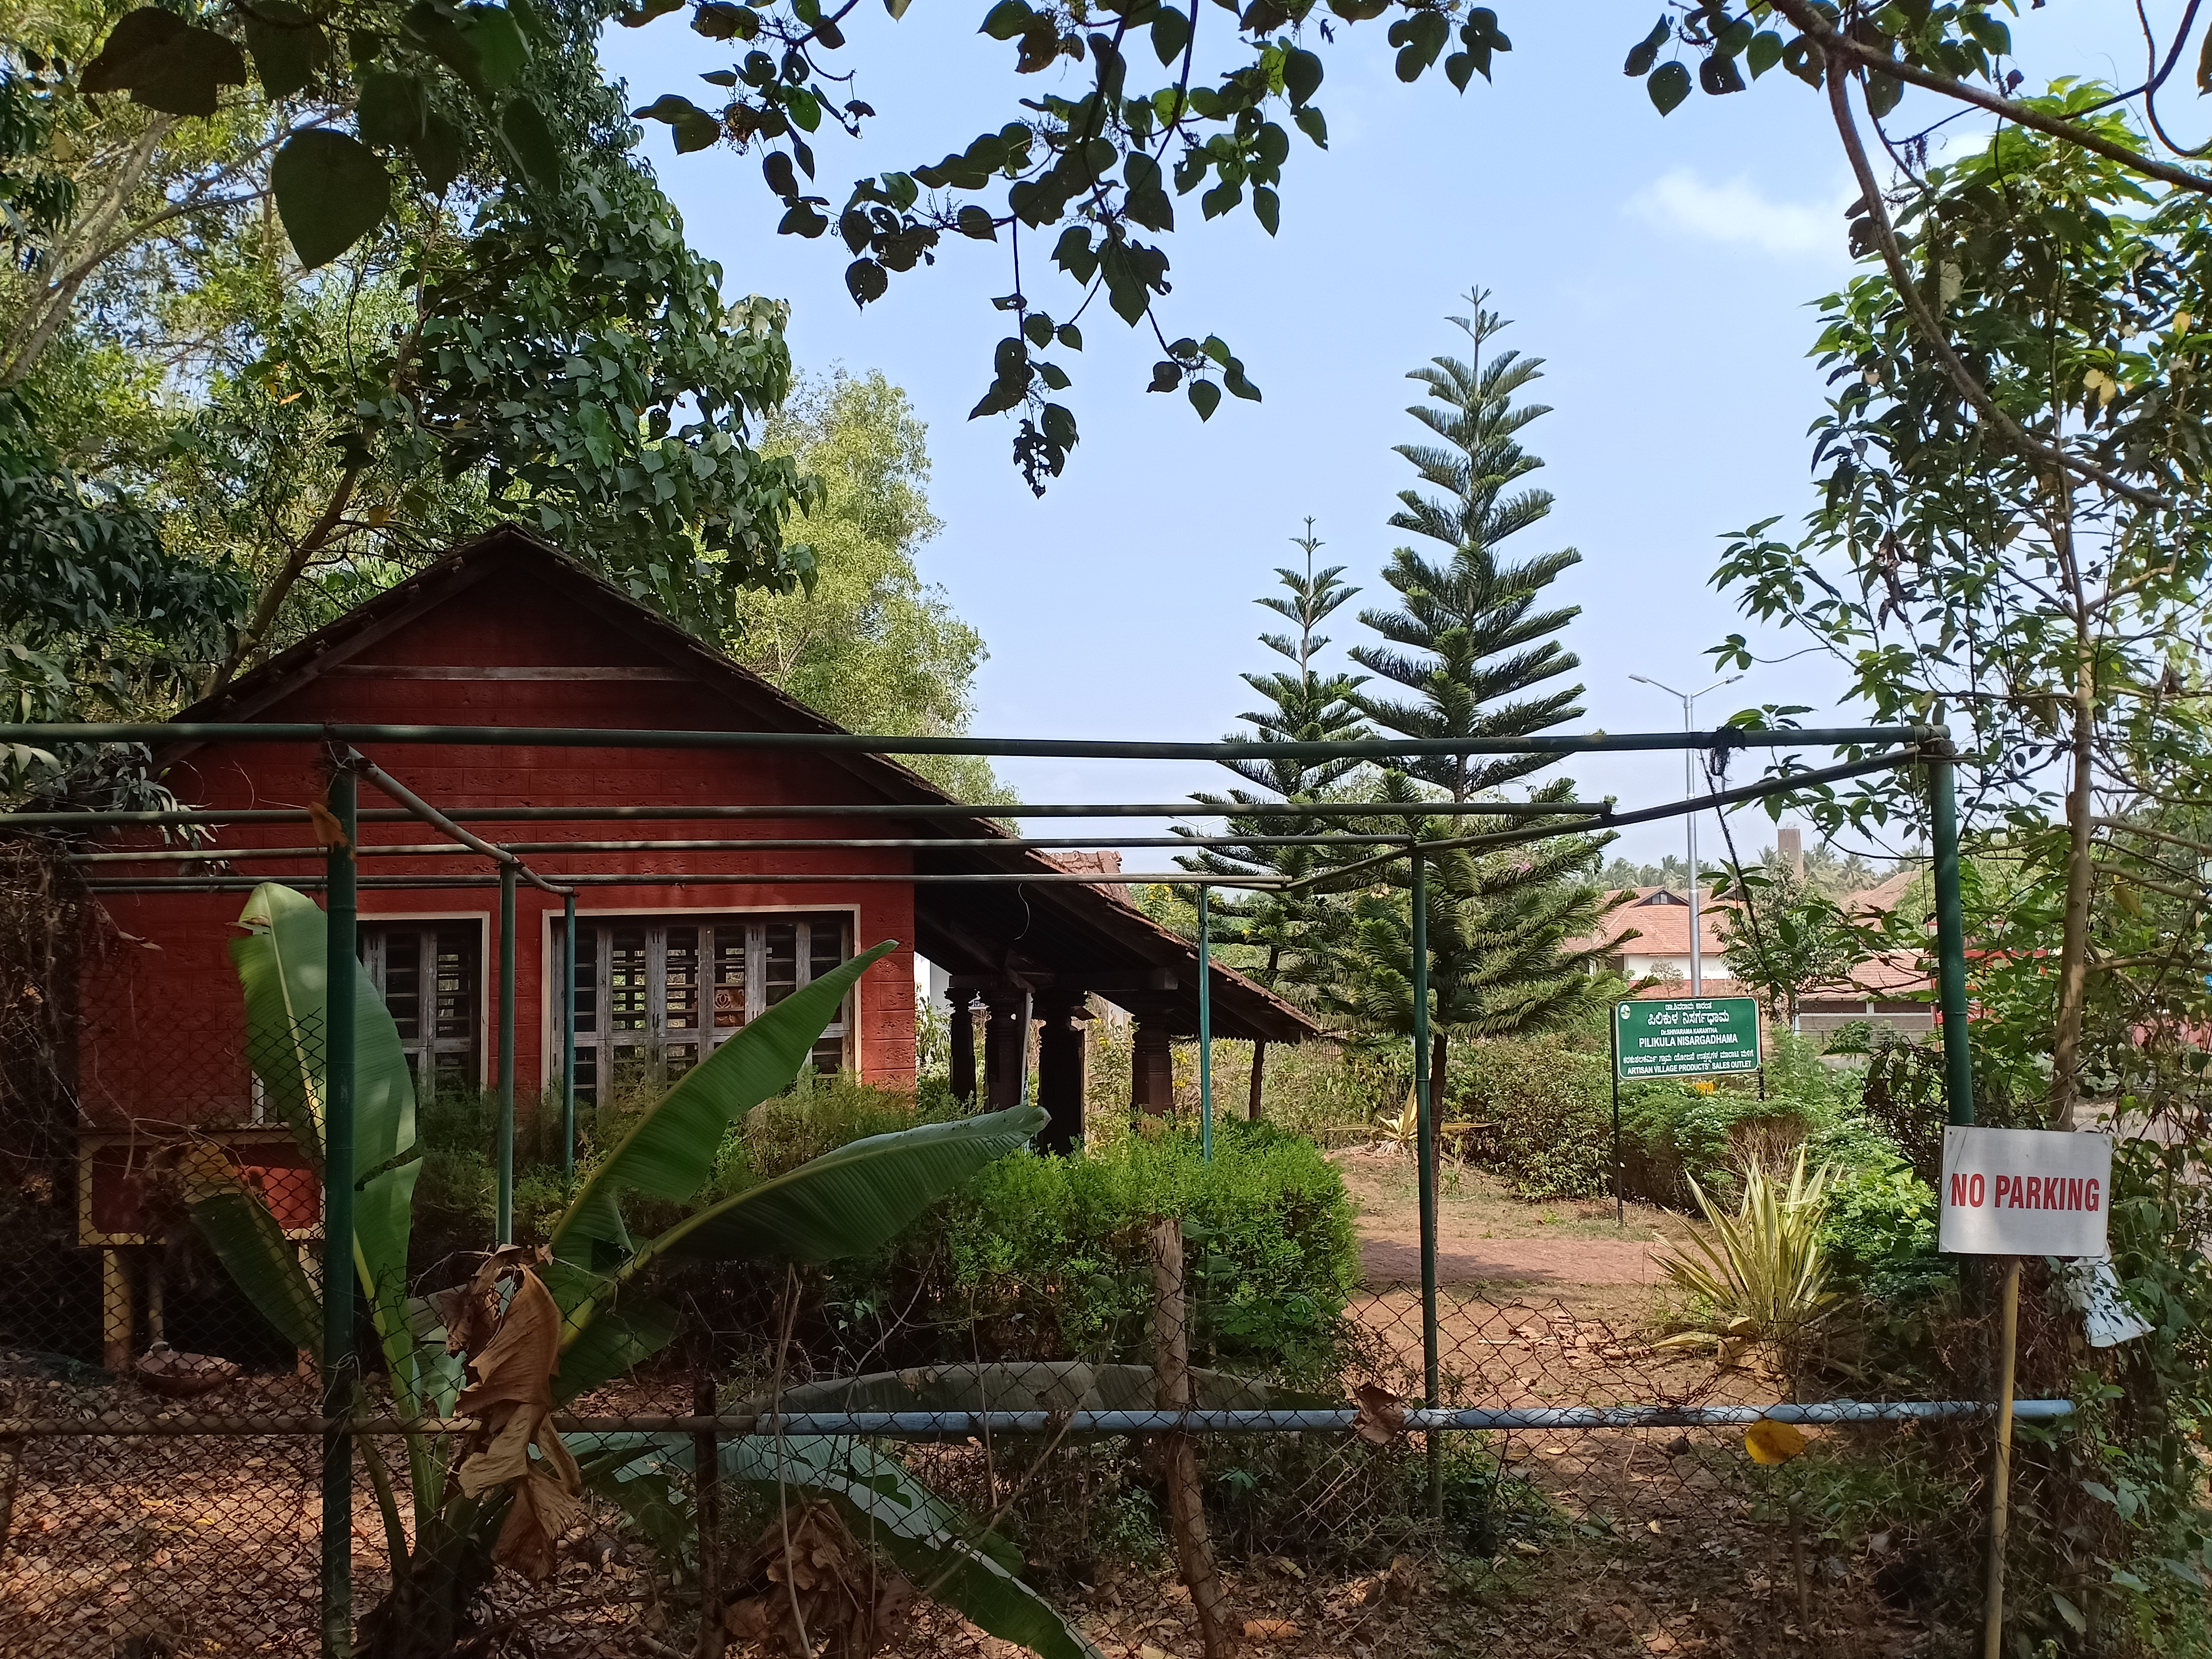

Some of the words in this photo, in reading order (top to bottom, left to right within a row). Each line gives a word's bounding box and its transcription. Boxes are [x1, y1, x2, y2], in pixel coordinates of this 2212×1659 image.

[1662, 997, 1695, 1013] ಡಾಶಿವರಾಮ
[1694, 998, 1714, 1012] ಕಾರಂತ
[1645, 1009, 1680, 1029] ಪಿಲಿಕುಳ
[1678, 1007, 1732, 1026] ನಿಸರ್ಗಧಾಮ
[1658, 1025, 1720, 1036] Dr.SHIVARAMA KARANTHA
[1635, 1034, 1678, 1050] PILIKULA
[1675, 1029, 1739, 1047] NISARGADHAMA
[1621, 1052, 1657, 1066] ಕರಕುಶಲಕರ್ಮಿ
[1624, 1064, 1657, 1076] ARTISAN
[1653, 1052, 1674, 1067] ಗ್ರಾಮ
[1650, 1062, 1680, 1075] VILLAGE
[1672, 1048, 1695, 1062] ಯೋಜನ
[1678, 1059, 1711, 1073] PRODUCTS
[1693, 1047, 1721, 1064] ಉತ್ಪನ್ನಗಳ
[1709, 1058, 1731, 1072] SALES
[1718, 1047, 1741, 1061] ಮಾರಾಟ
[1729, 1058, 1755, 1071] OUTLET
[1946, 1166, 1989, 1212] NO
[1989, 1171, 2101, 1216] PARKING